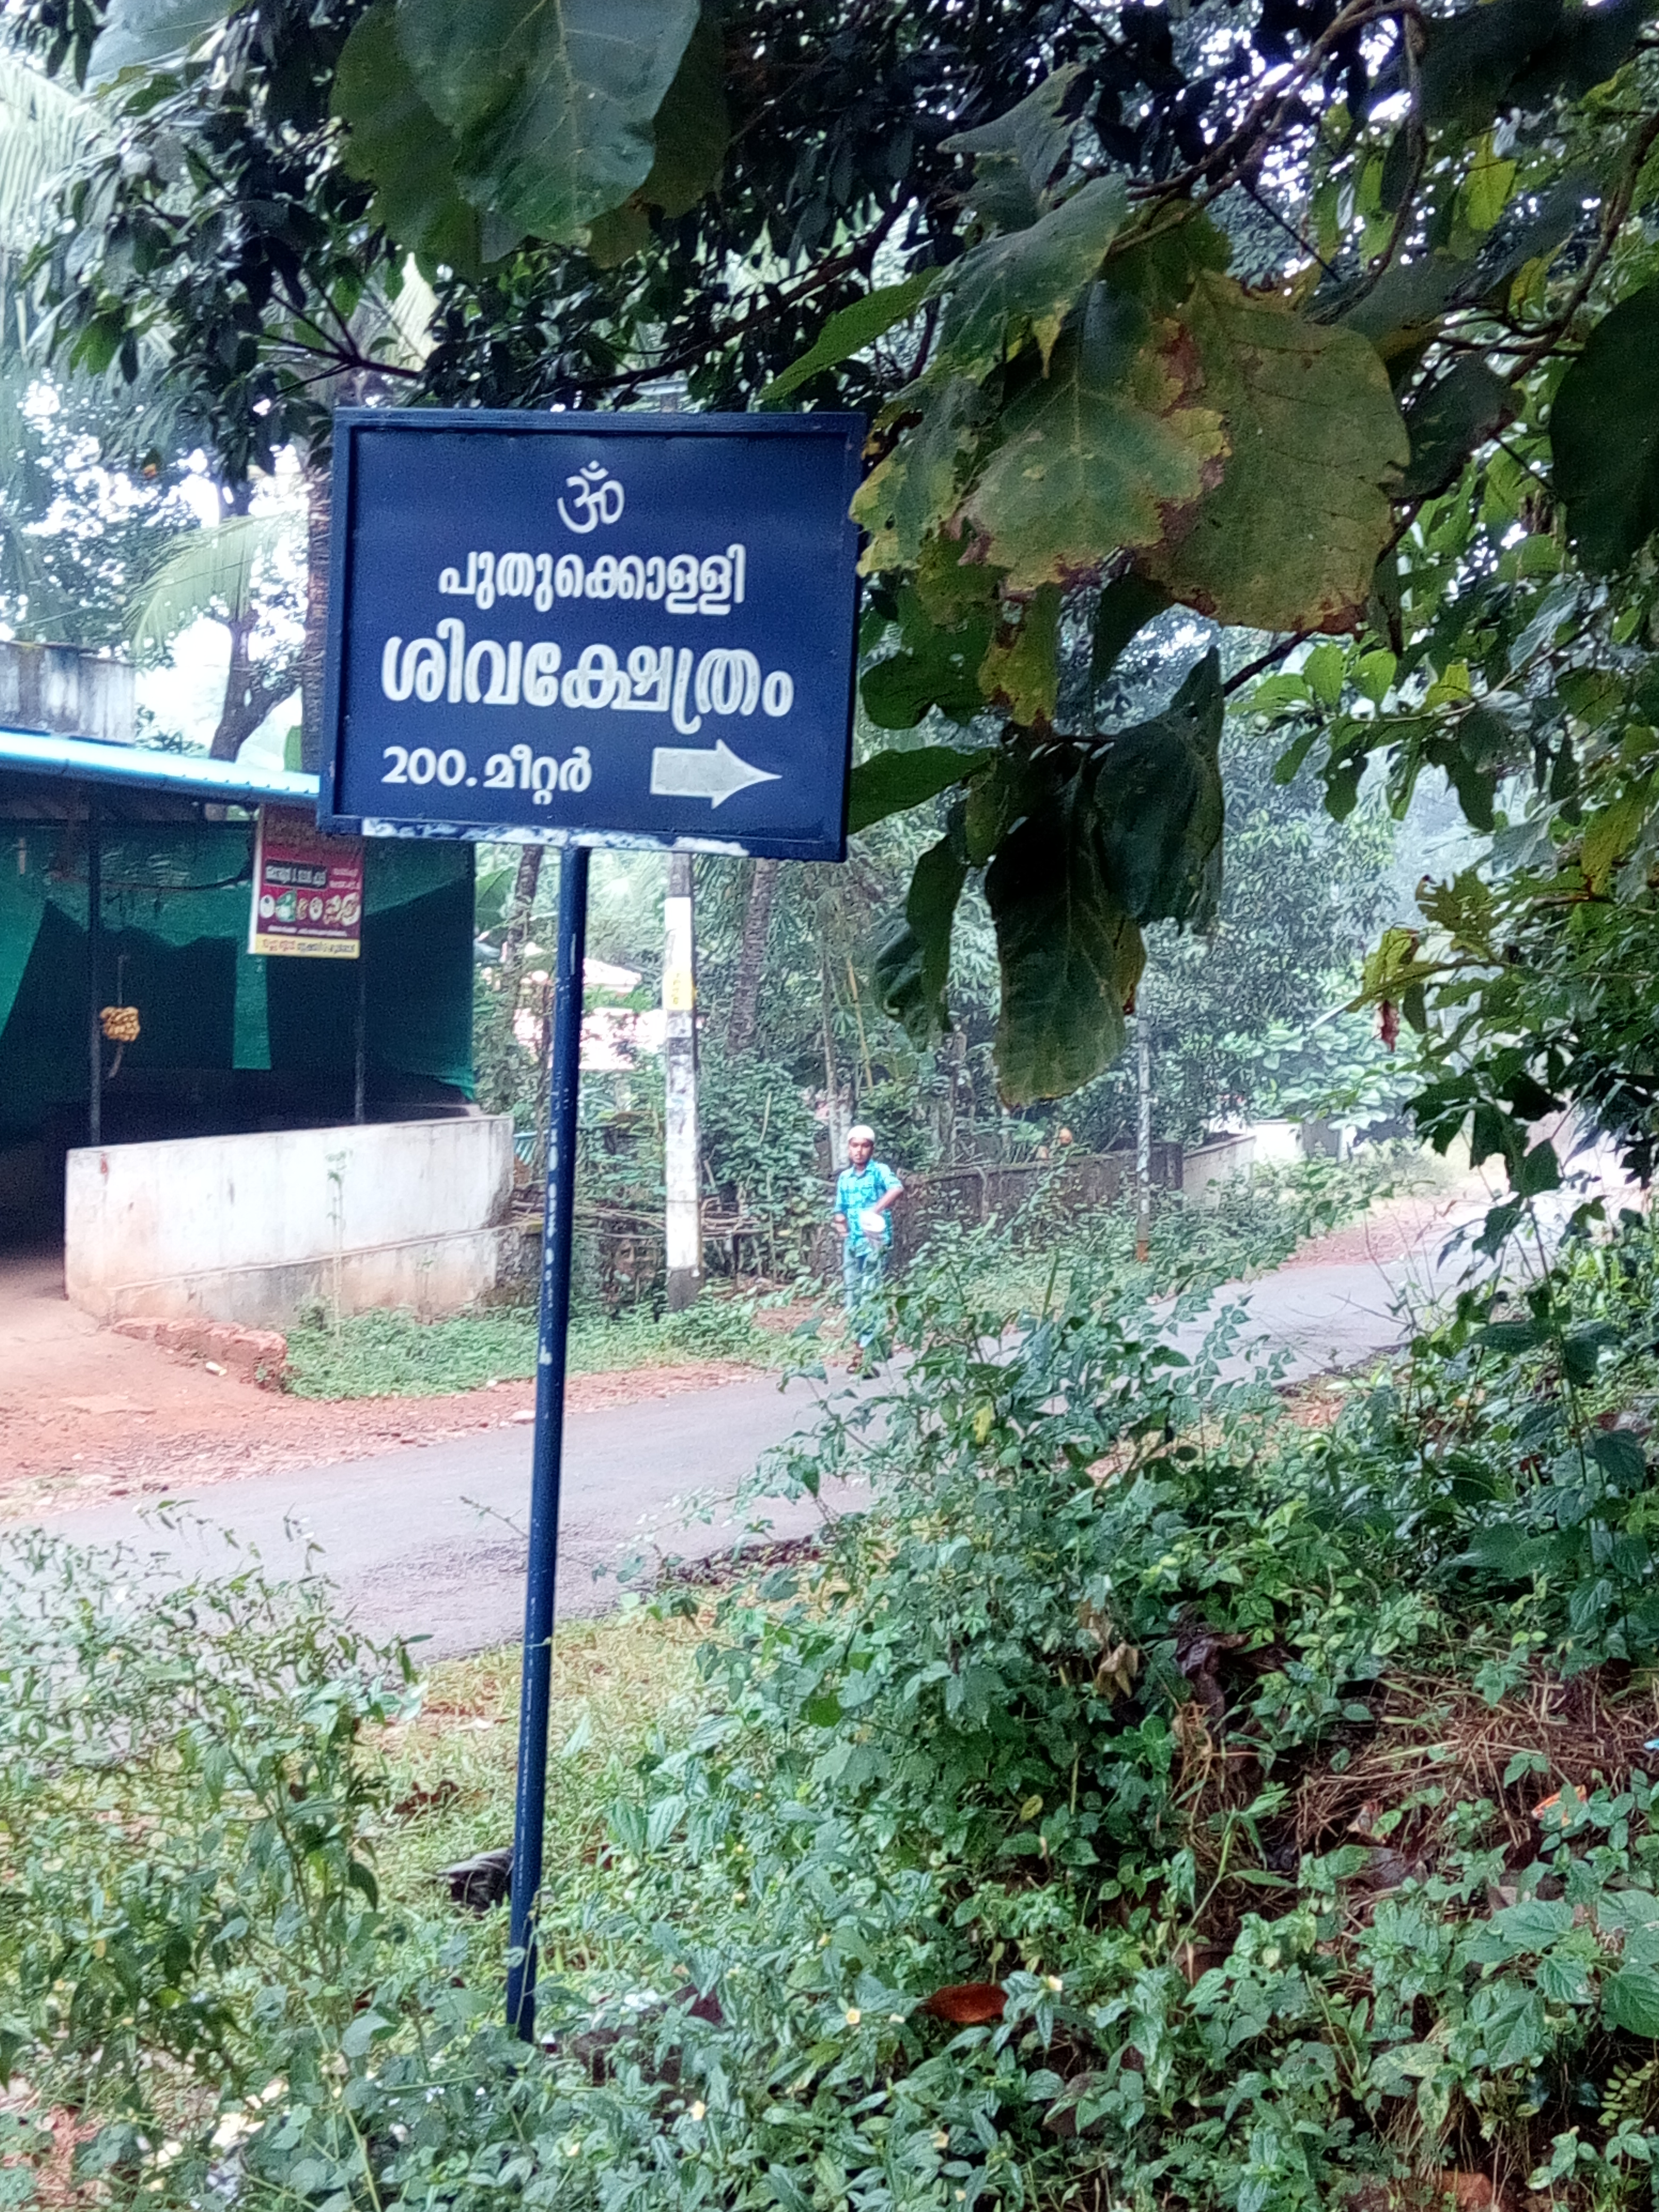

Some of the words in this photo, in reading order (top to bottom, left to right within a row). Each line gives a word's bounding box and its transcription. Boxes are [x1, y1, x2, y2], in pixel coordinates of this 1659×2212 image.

[554, 450, 626, 540] ॐ
[434, 537, 754, 622] പുതുക്കൊളളി
[370, 610, 800, 739] ശിവക്ഷേത്രം
[379, 734, 602, 810] 200.മീറ്റർ